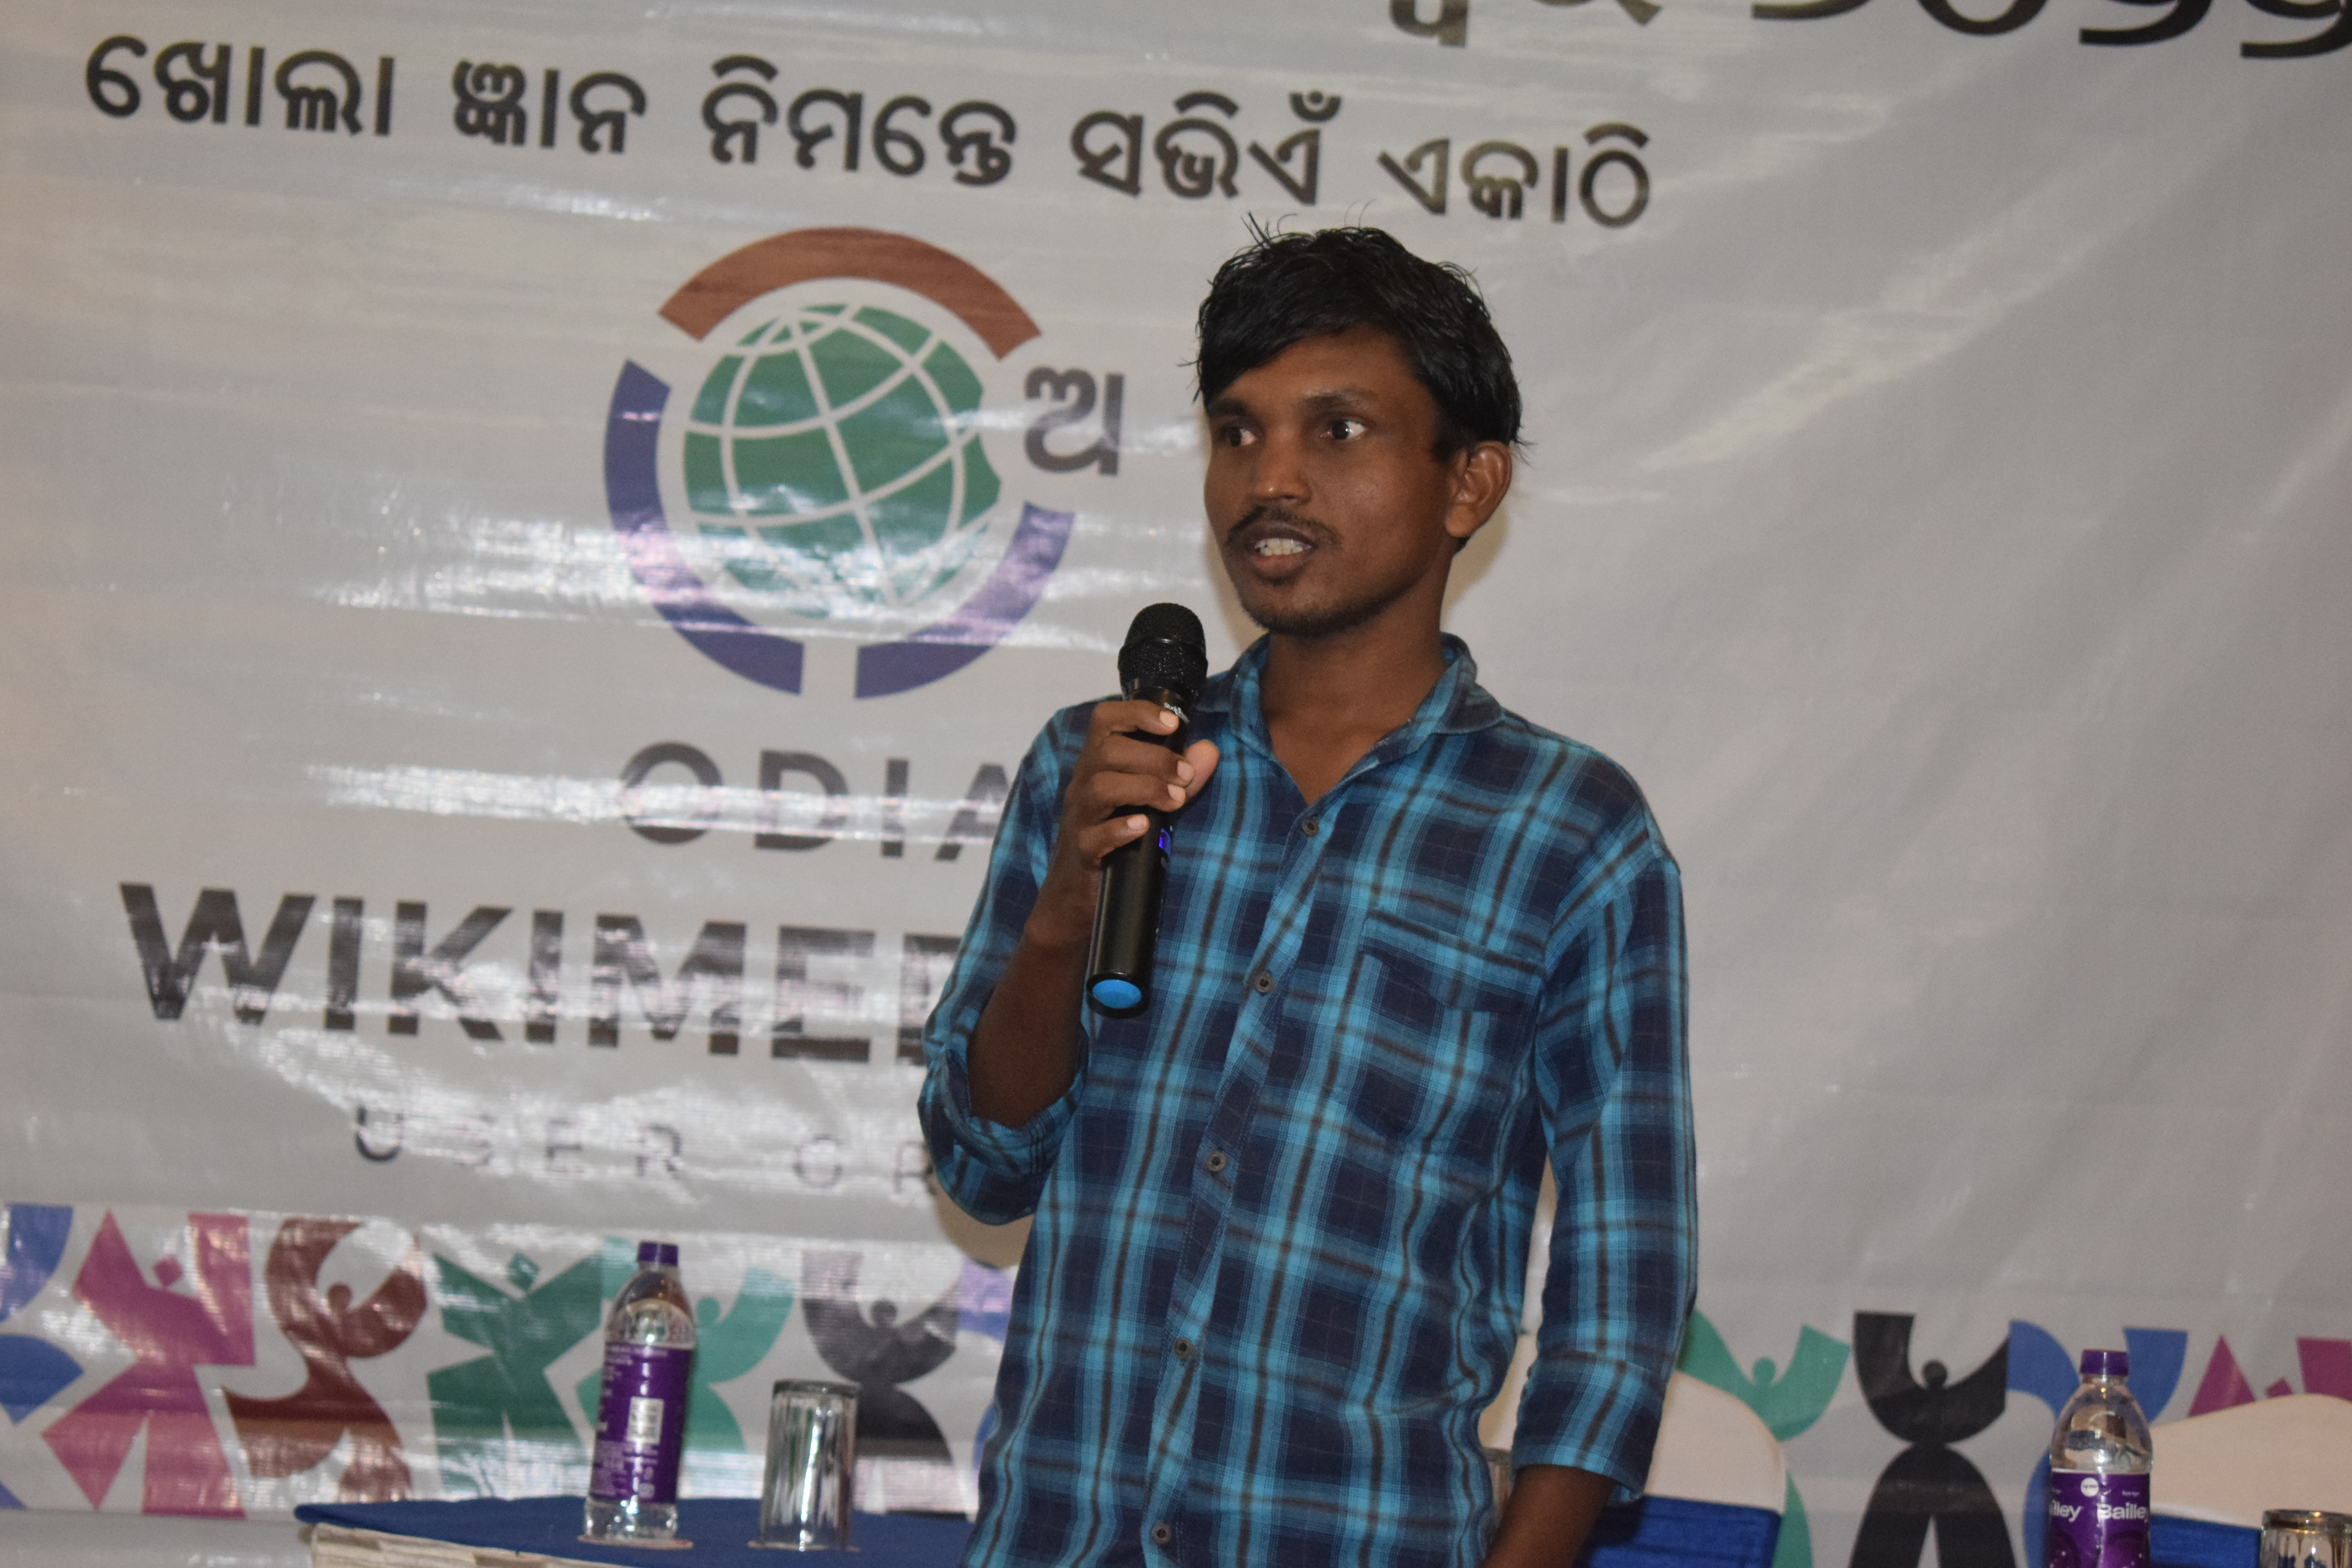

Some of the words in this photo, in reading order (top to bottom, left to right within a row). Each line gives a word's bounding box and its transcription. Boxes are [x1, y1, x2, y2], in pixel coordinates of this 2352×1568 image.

[82, 24, 407, 145] ଖୋଲା
[437, 47, 659, 171] ଜ୍ଞାନ
[697, 48, 1028, 191] ନିମନ୍ତେ
[1070, 79, 1347, 213] ସଭିଏଁ
[1372, 113, 1659, 233] ଏକାଠି
[1008, 349, 1140, 492] ଅ